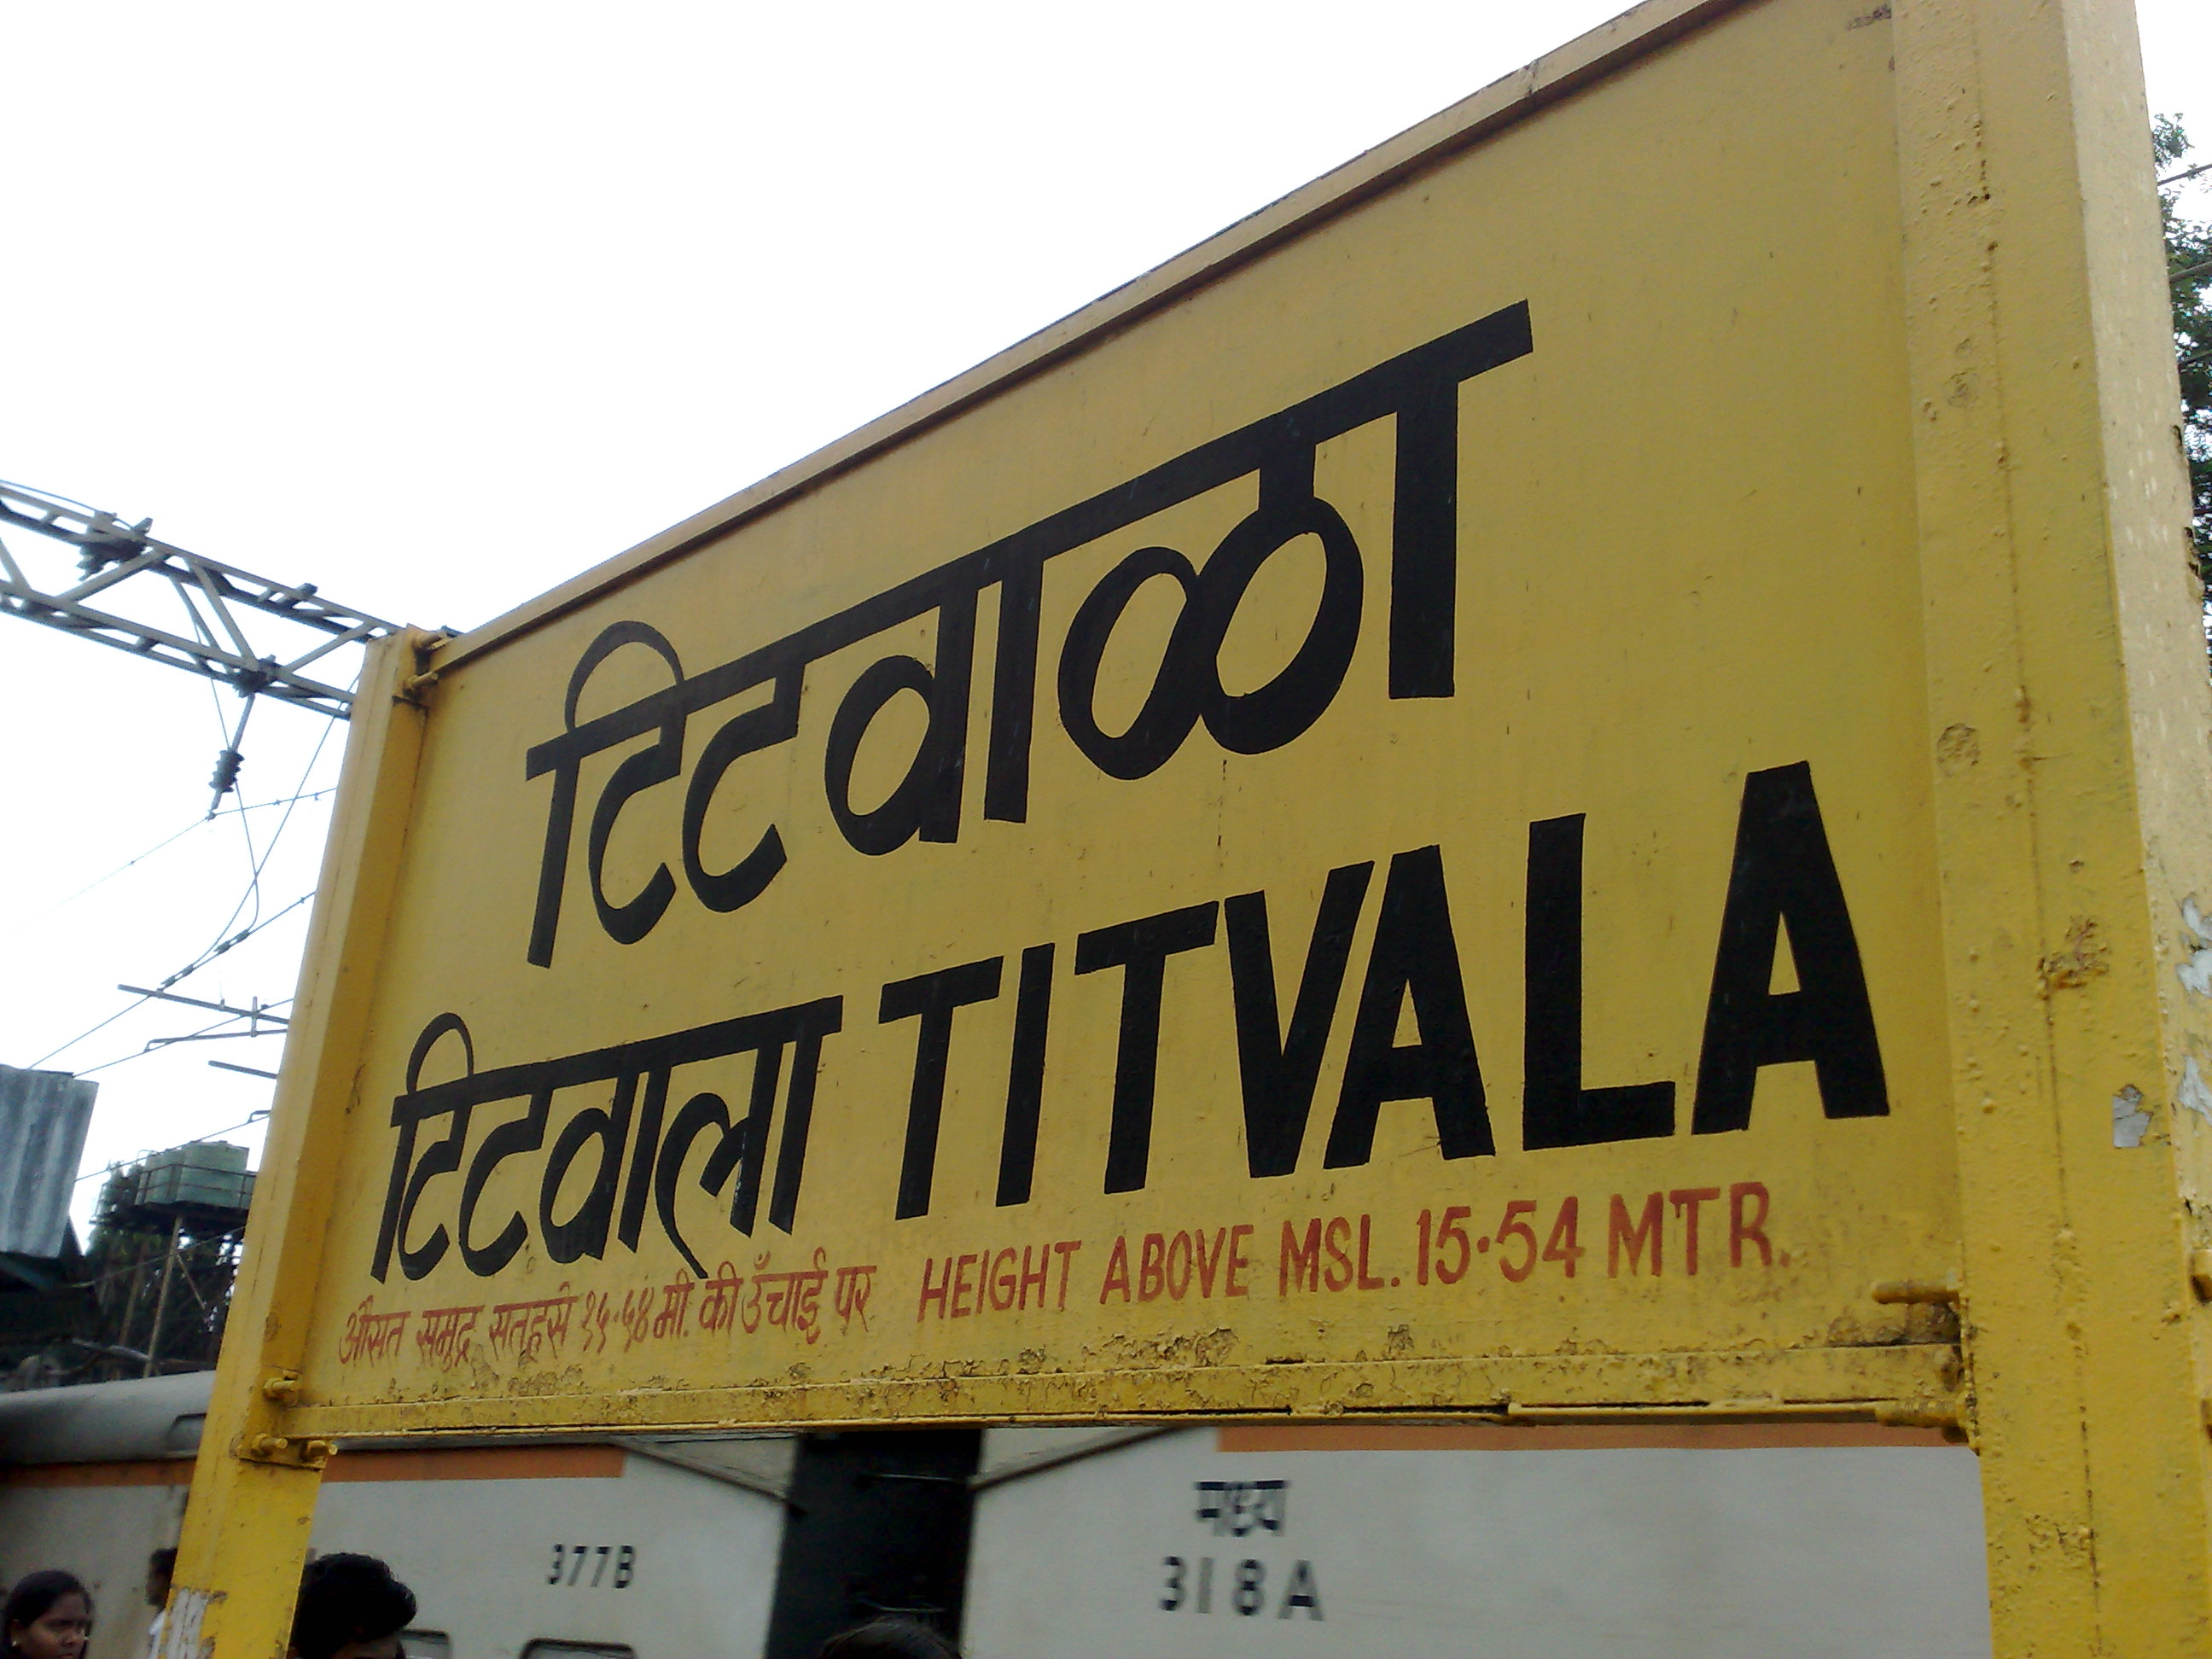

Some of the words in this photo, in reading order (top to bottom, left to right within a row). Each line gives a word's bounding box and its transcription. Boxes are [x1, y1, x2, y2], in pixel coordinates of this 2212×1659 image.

[495, 263, 1579, 1002] टिटवाळा
[853, 729, 1935, 1243] TITVALA
[357, 982, 850, 1297] टिटवाला
[330, 1289, 416, 1377] औसत
[410, 1300, 487, 1380] समुद्र
[485, 1278, 582, 1371] सतहसे
[576, 1284, 660, 1361] १५-५४
[649, 1264, 699, 1348] मी.
[696, 1250, 748, 1346] की
[738, 1241, 834, 1354] उँचाई
[829, 1255, 882, 1342] पर
[912, 1232, 1090, 1330] HEIGHT
[1093, 1212, 1264, 1315] ABOVE
[1272, 1206, 1406, 1309] MSL.
[1409, 1187, 1591, 1295] 15-54
[1599, 1169, 1802, 1288] MTR.
[542, 1533, 645, 1596] 377B
[1152, 1548, 1346, 1629] 318A